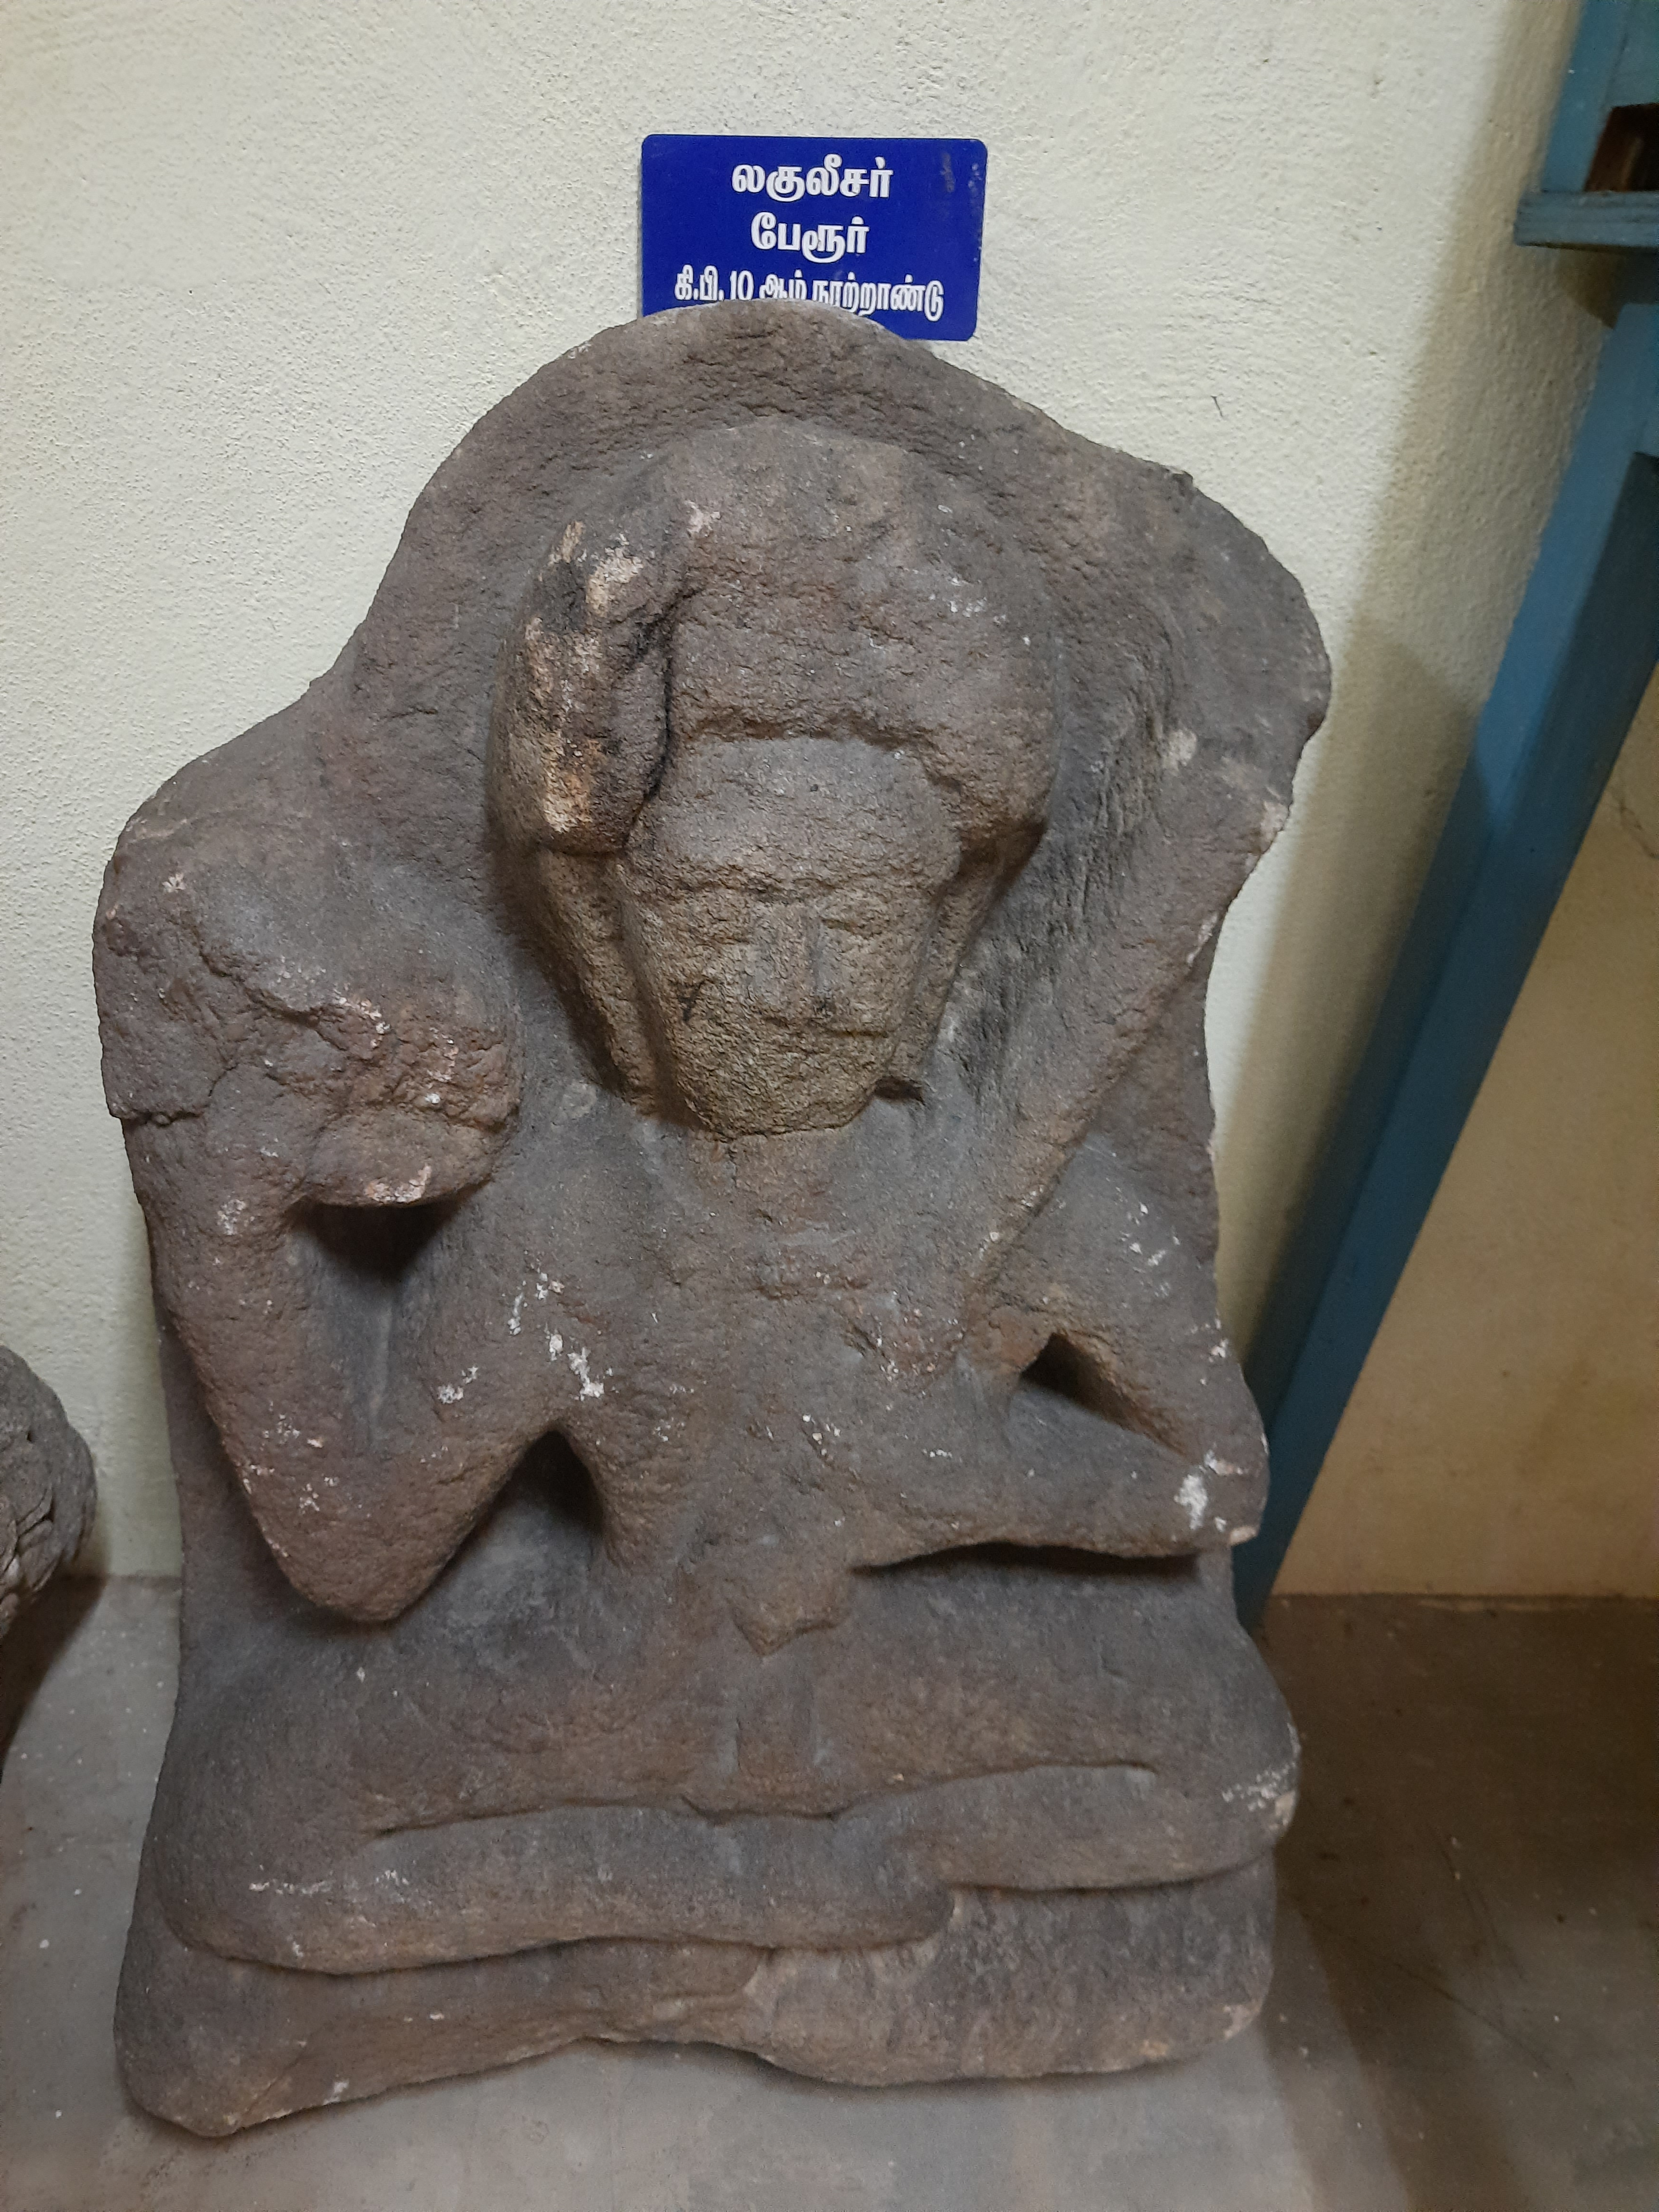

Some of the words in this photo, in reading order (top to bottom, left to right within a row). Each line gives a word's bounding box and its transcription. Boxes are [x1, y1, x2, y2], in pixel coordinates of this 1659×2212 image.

[727, 150, 898, 204] லகுலீசா்
[749, 207, 871, 266] பேரூா்
[670, 261, 755, 305] கி.பி.10
[757, 268, 809, 309] ஆம்
[809, 265, 949, 324] நாற்றாண்டு